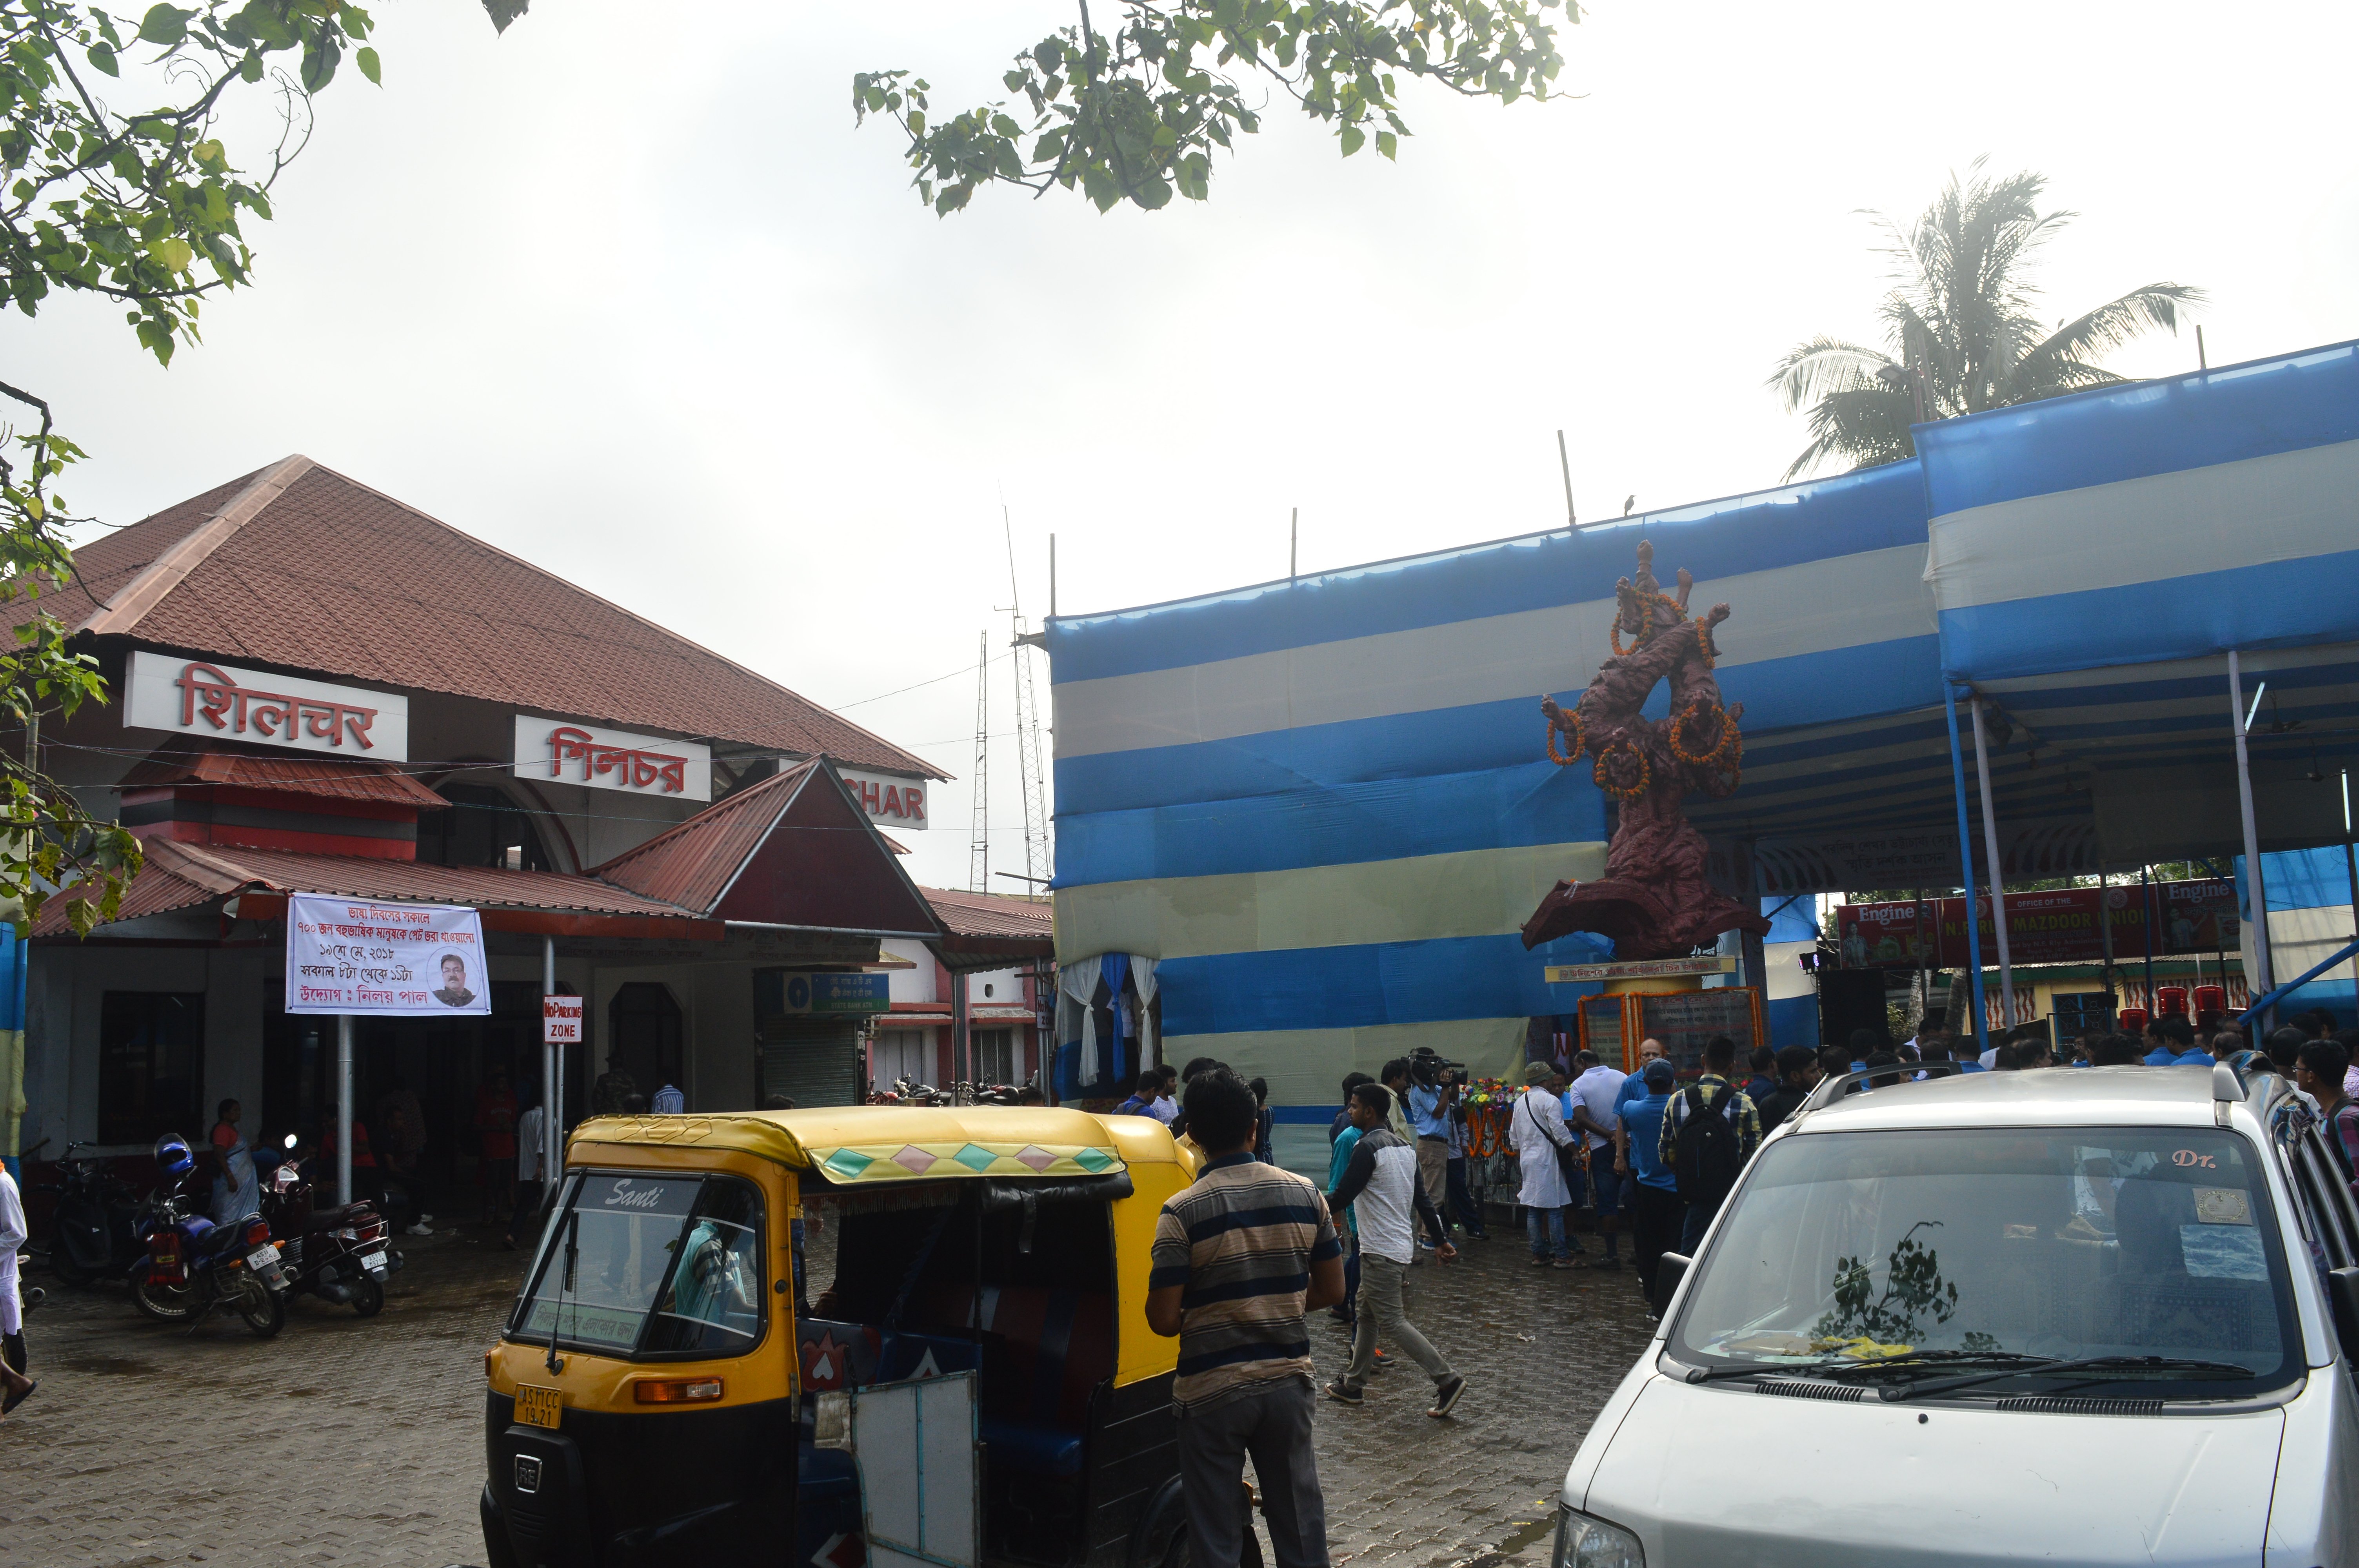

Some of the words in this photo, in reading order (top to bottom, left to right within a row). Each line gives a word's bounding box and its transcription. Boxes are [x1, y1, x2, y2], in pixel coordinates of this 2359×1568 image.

[169, 655, 383, 753] शिलचर
[538, 720, 692, 794] শিলচর
[856, 775, 929, 826] HAR
[294, 918, 320, 933] ৭০০
[315, 920, 335, 936] জন
[316, 940, 349, 962] ১৯শে
[335, 918, 377, 938] বহুভাষিক
[345, 905, 369, 920] ভাষা
[348, 943, 366, 963] মে
[369, 944, 396, 962] ২০১৮
[365, 902, 403, 922] দিবসের
[374, 924, 409, 946] মানুষকে
[400, 907, 433, 927] সকালে
[406, 926, 442, 943] পেট ভরা
[438, 928, 476, 946] খাওয়ানো
[1855, 902, 1916, 929] Engine
[2021, 939, 2033, 949] by
[2016, 897, 2045, 909] OFFICE
[2015, 927, 2050, 942] GHAR
[2025, 944, 2045, 958] Regd
[2031, 938, 2049, 949] N.F.
[2033, 952, 2047, 961] to
[2042, 897, 2056, 908] OF
[2042, 944, 2056, 955] No.
[2011, 909, 2094, 933] MAZDOOR
[2043, 950, 2064, 961] AIRF
[2048, 937, 2062, 949] Rly
[2053, 893, 2073, 906] THE
[2047, 927, 2094, 942] BRANCH
[2063, 949, 2082, 962] and
[2062, 935, 2104, 947] Administra
[2077, 946, 2101, 959] HMS
[2183, 903, 2211, 919] সমৃদ্ধি
[2167, 879, 2235, 906] Engine
[2208, 899, 2239, 916] আটার
[334, 955, 359, 982] ৮টা
[356, 966, 391, 986] থেকে
[389, 957, 413, 985] ১১টা
[826, 975, 841, 987] ষ্টেট
[851, 974, 873, 987] এ টি এম
[1567, 966, 1603, 978] উনিশের
[1603, 963, 1627, 976] ভাষা
[1625, 962, 1664, 975] শহিদেরা
[1662, 962, 1681, 973] চির
[1682, 959, 1711, 972] জাগ্রত
[296, 981, 344, 1004] উদ্যোগ
[351, 977, 395, 1006] নিলয়
[398, 988, 431, 1006] পাল
[542, 1000, 585, 1020] NOPARKING
[829, 1000, 848, 1011] STATE
[840, 985, 854, 999] बैंक
[846, 1000, 863, 1011] BANK
[851, 985, 874, 1000] एटीएम
[861, 998, 875, 1011] ATM
[549, 1020, 577, 1040] ZONE